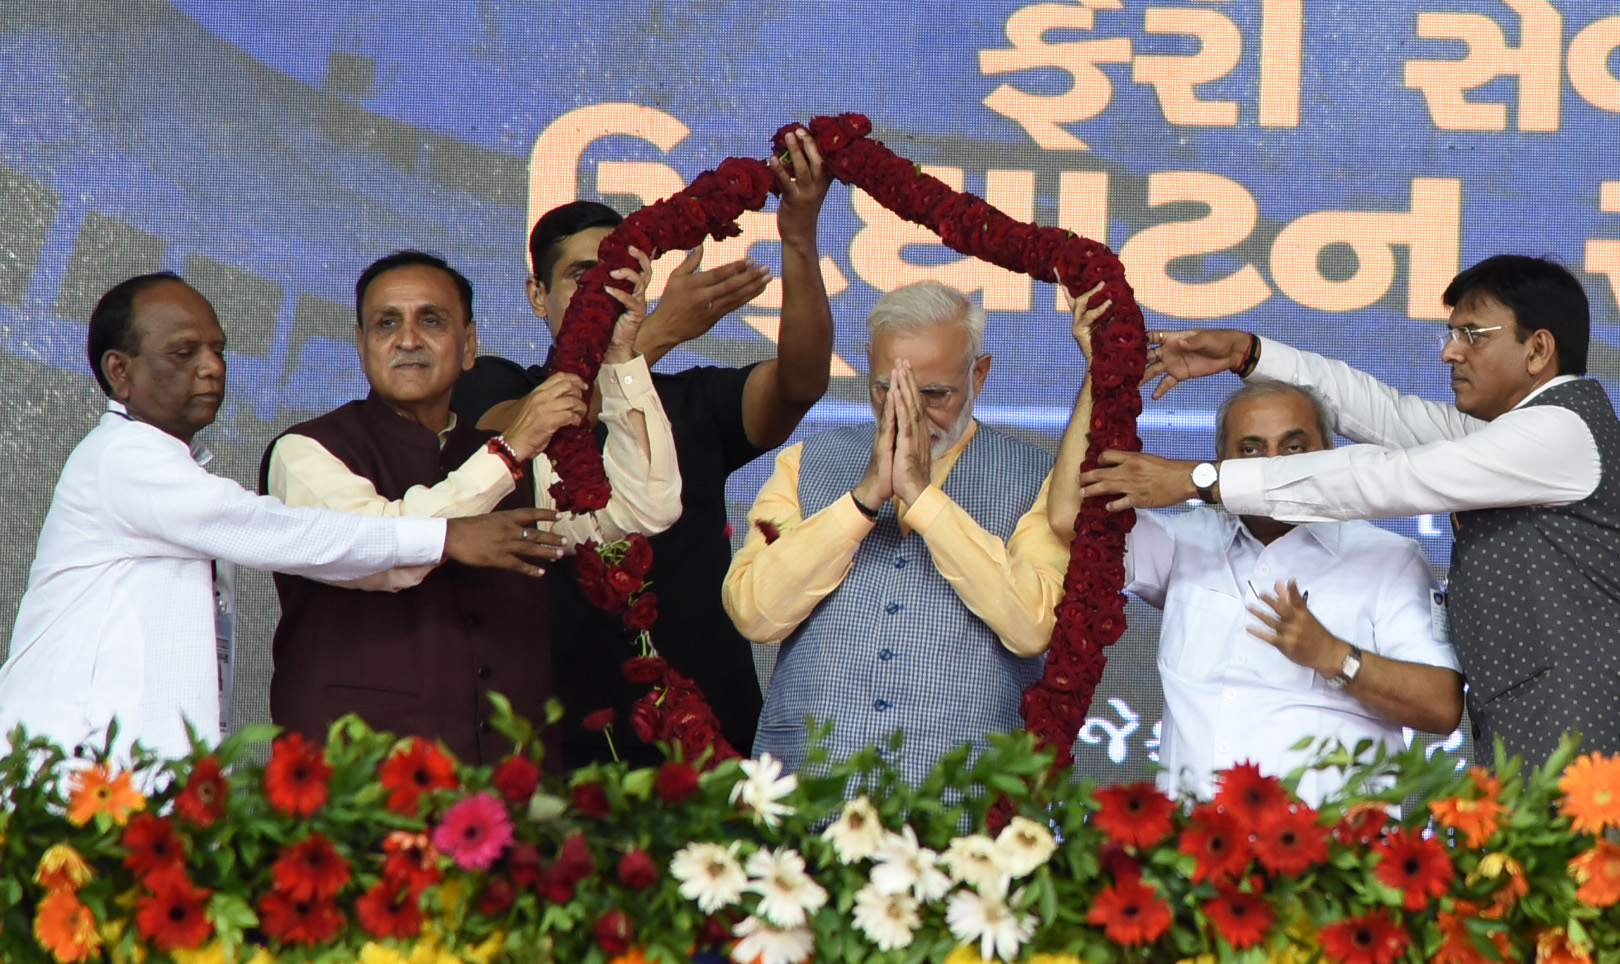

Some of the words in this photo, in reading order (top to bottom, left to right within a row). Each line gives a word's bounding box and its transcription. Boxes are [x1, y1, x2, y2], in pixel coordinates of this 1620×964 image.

[960, 0, 1332, 162] ફરા
[1388, 0, 1576, 154] સે
[1118, 163, 1465, 335] ટન